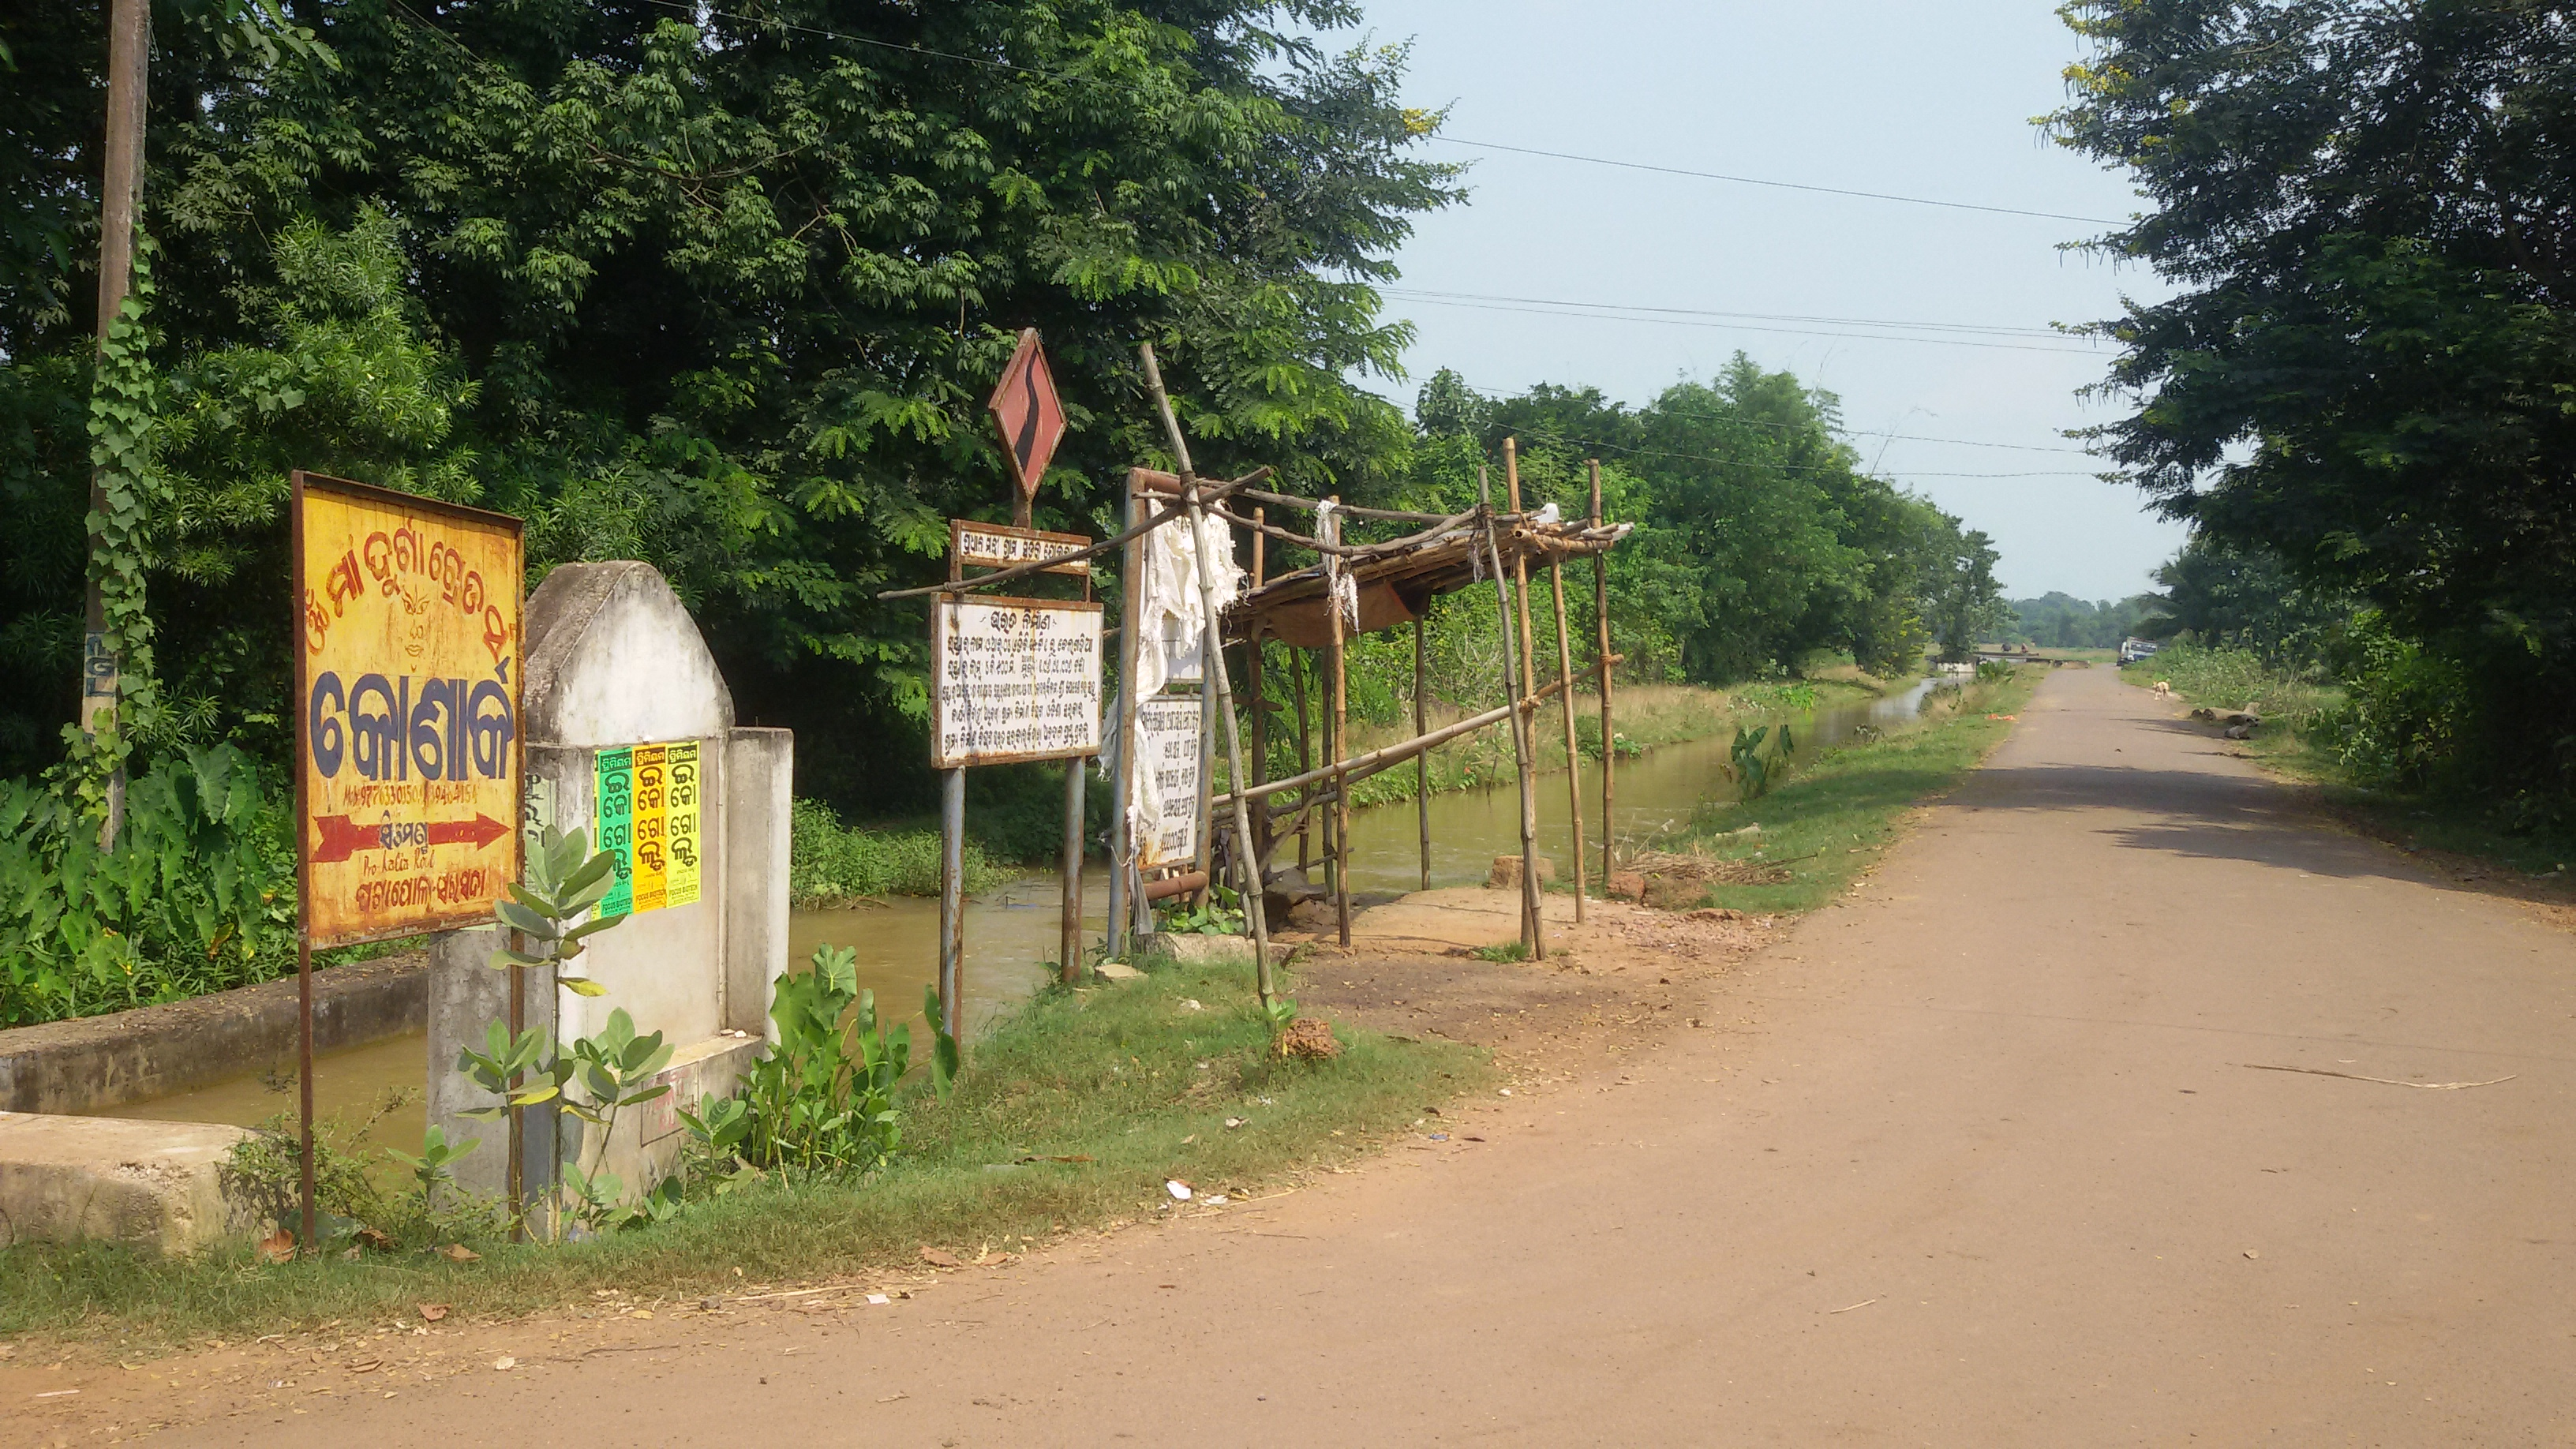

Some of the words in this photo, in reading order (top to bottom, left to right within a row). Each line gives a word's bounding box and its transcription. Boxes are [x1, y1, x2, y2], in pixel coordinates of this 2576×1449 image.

[298, 581, 335, 660] ॐ
[986, 601, 1020, 635] ଭରତ
[1009, 601, 1054, 635] ନିର୍ମାଣ
[307, 650, 515, 786] କୋଣାର୍କ
[598, 753, 635, 774] ପ୍ରିମିୟମ
[631, 747, 667, 768] ପ୍ରିମିତମ
[667, 746, 698, 766] ପ୍ରିମିୟମ
[602, 763, 635, 880] ଇ କୋ ଗୋ ଲ୍ଡ
[635, 760, 667, 875] ଇ କୋ ଗୋ ଲ୍ଡ
[665, 759, 698, 871] ଇକୋଗୋଲ୍ଡ
[359, 847, 412, 882] Pro-kalia
[411, 847, 438, 873] Roul
[353, 871, 438, 919] ପଟାପୋଲ
[432, 866, 489, 913] ସରସଦା